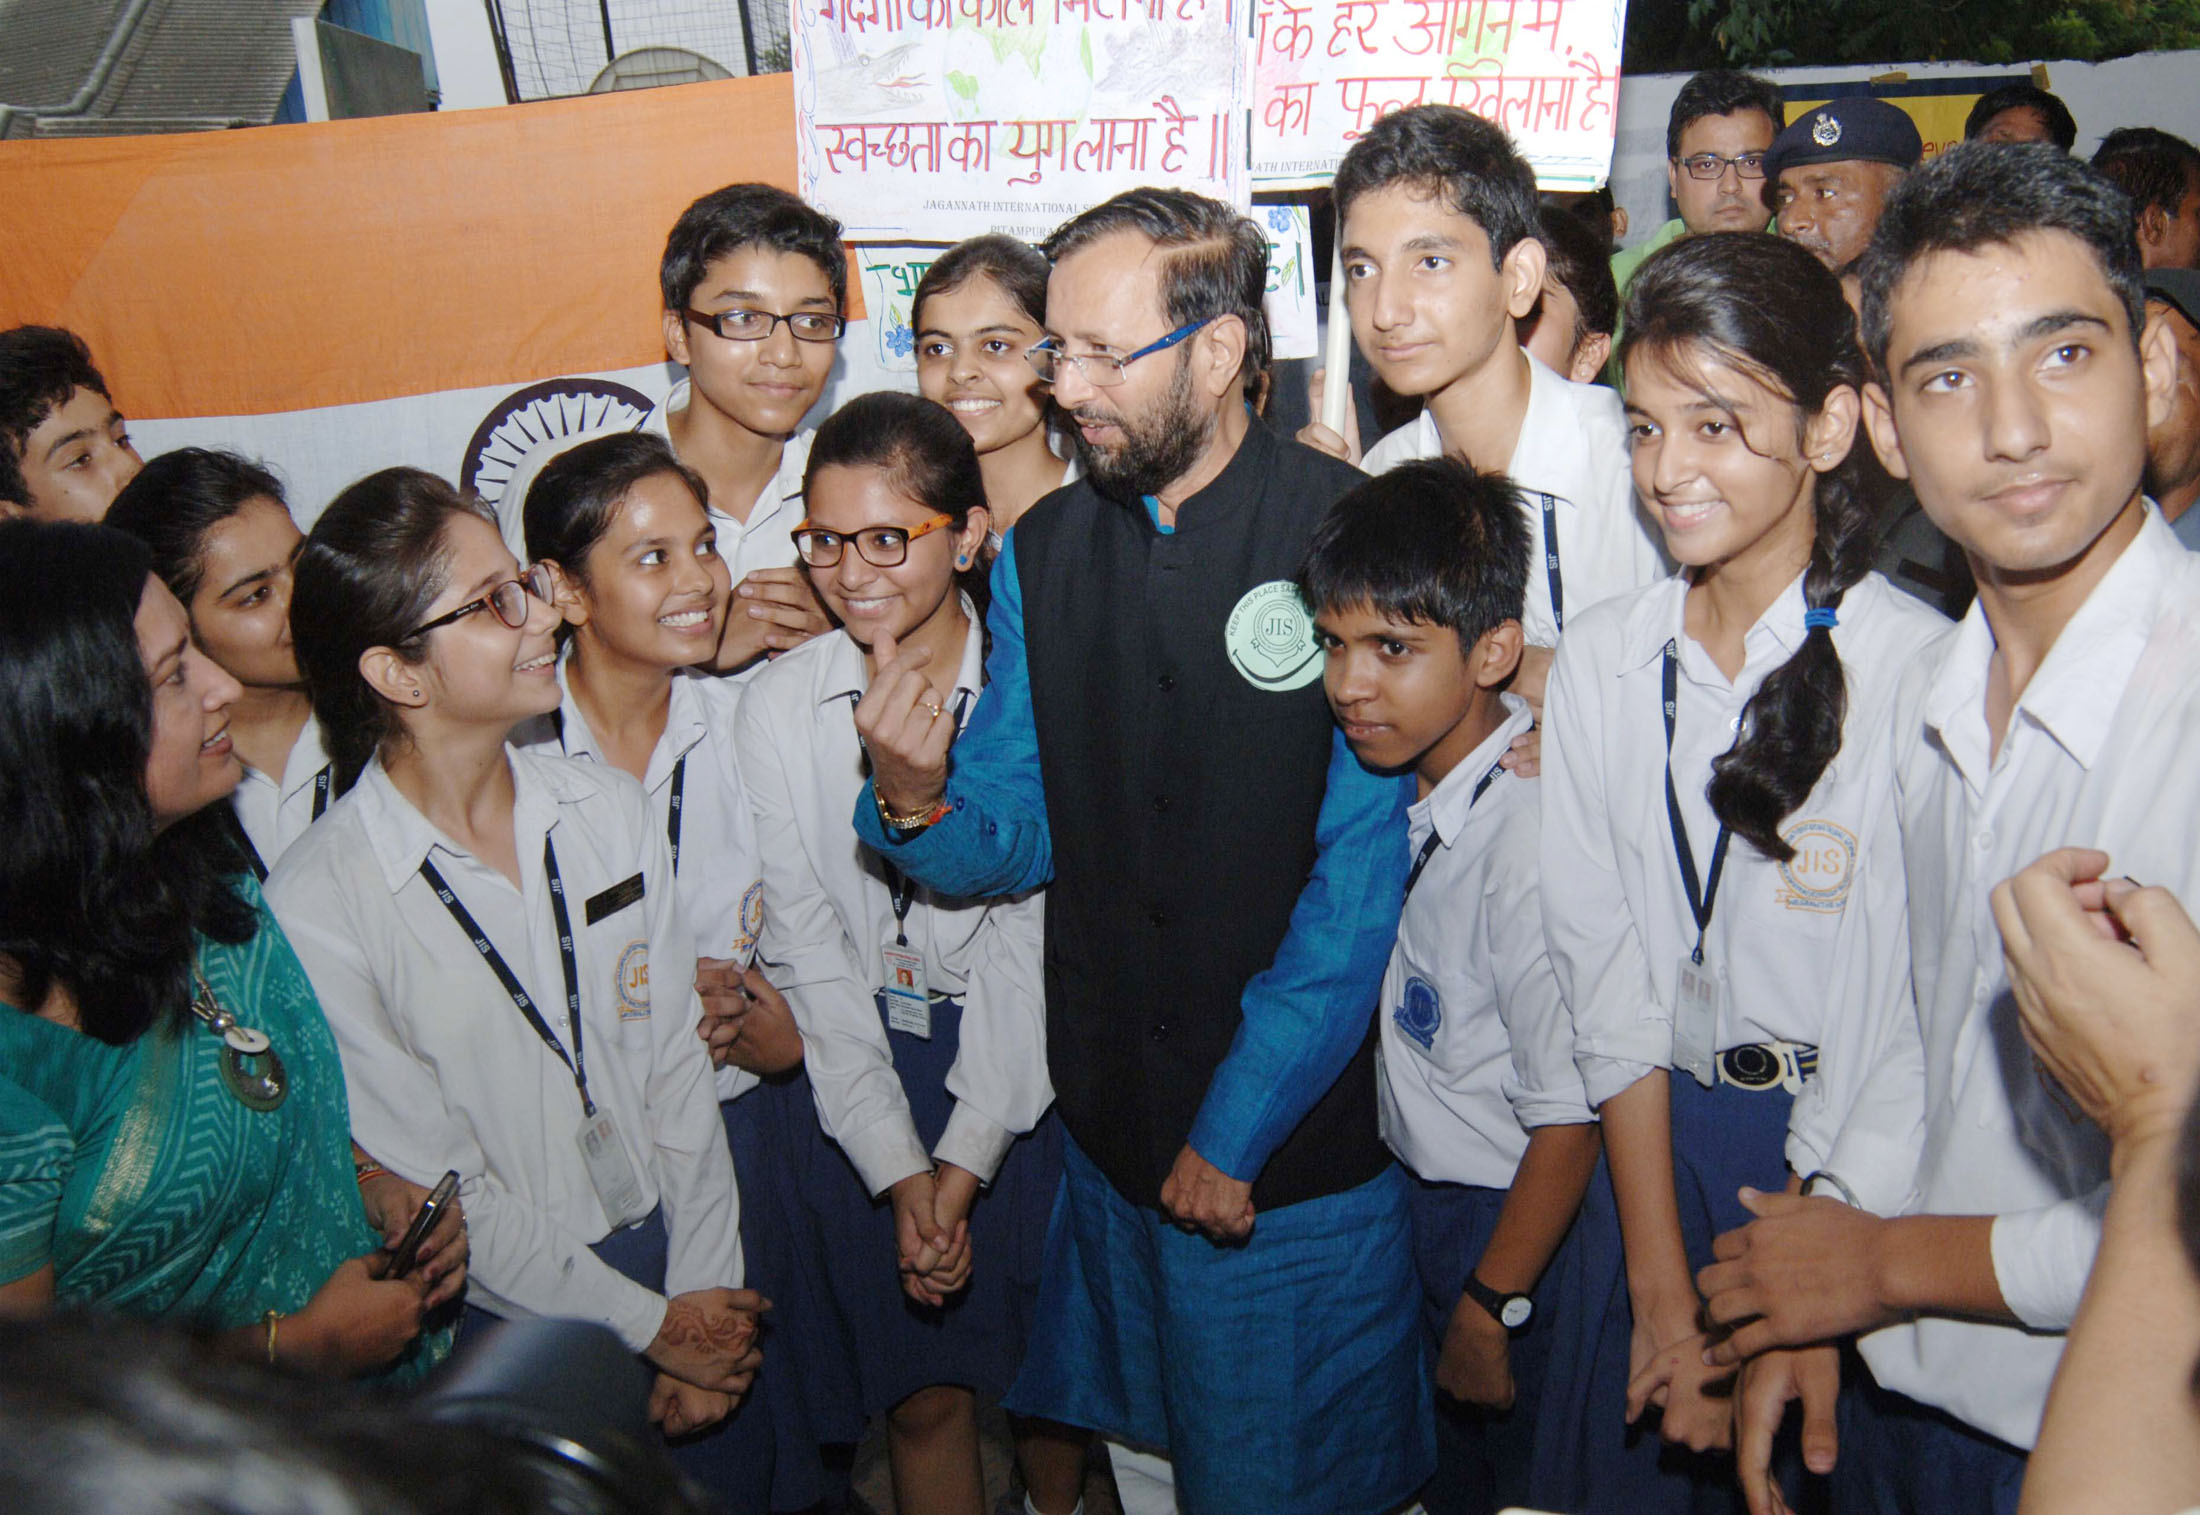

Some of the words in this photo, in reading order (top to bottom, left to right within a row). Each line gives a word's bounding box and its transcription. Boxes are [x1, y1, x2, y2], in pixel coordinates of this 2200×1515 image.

[1323, 0, 1397, 63] हर
[815, 114, 952, 178] स्वच्छता
[944, 113, 1001, 176] का
[1003, 117, 1079, 193] युग
[1067, 115, 1156, 178] लाना
[1149, 88, 1201, 177] है
[1256, 80, 1321, 142] का
[1437, 50, 1578, 135] खिलाना
[1561, 43, 1620, 137] है।